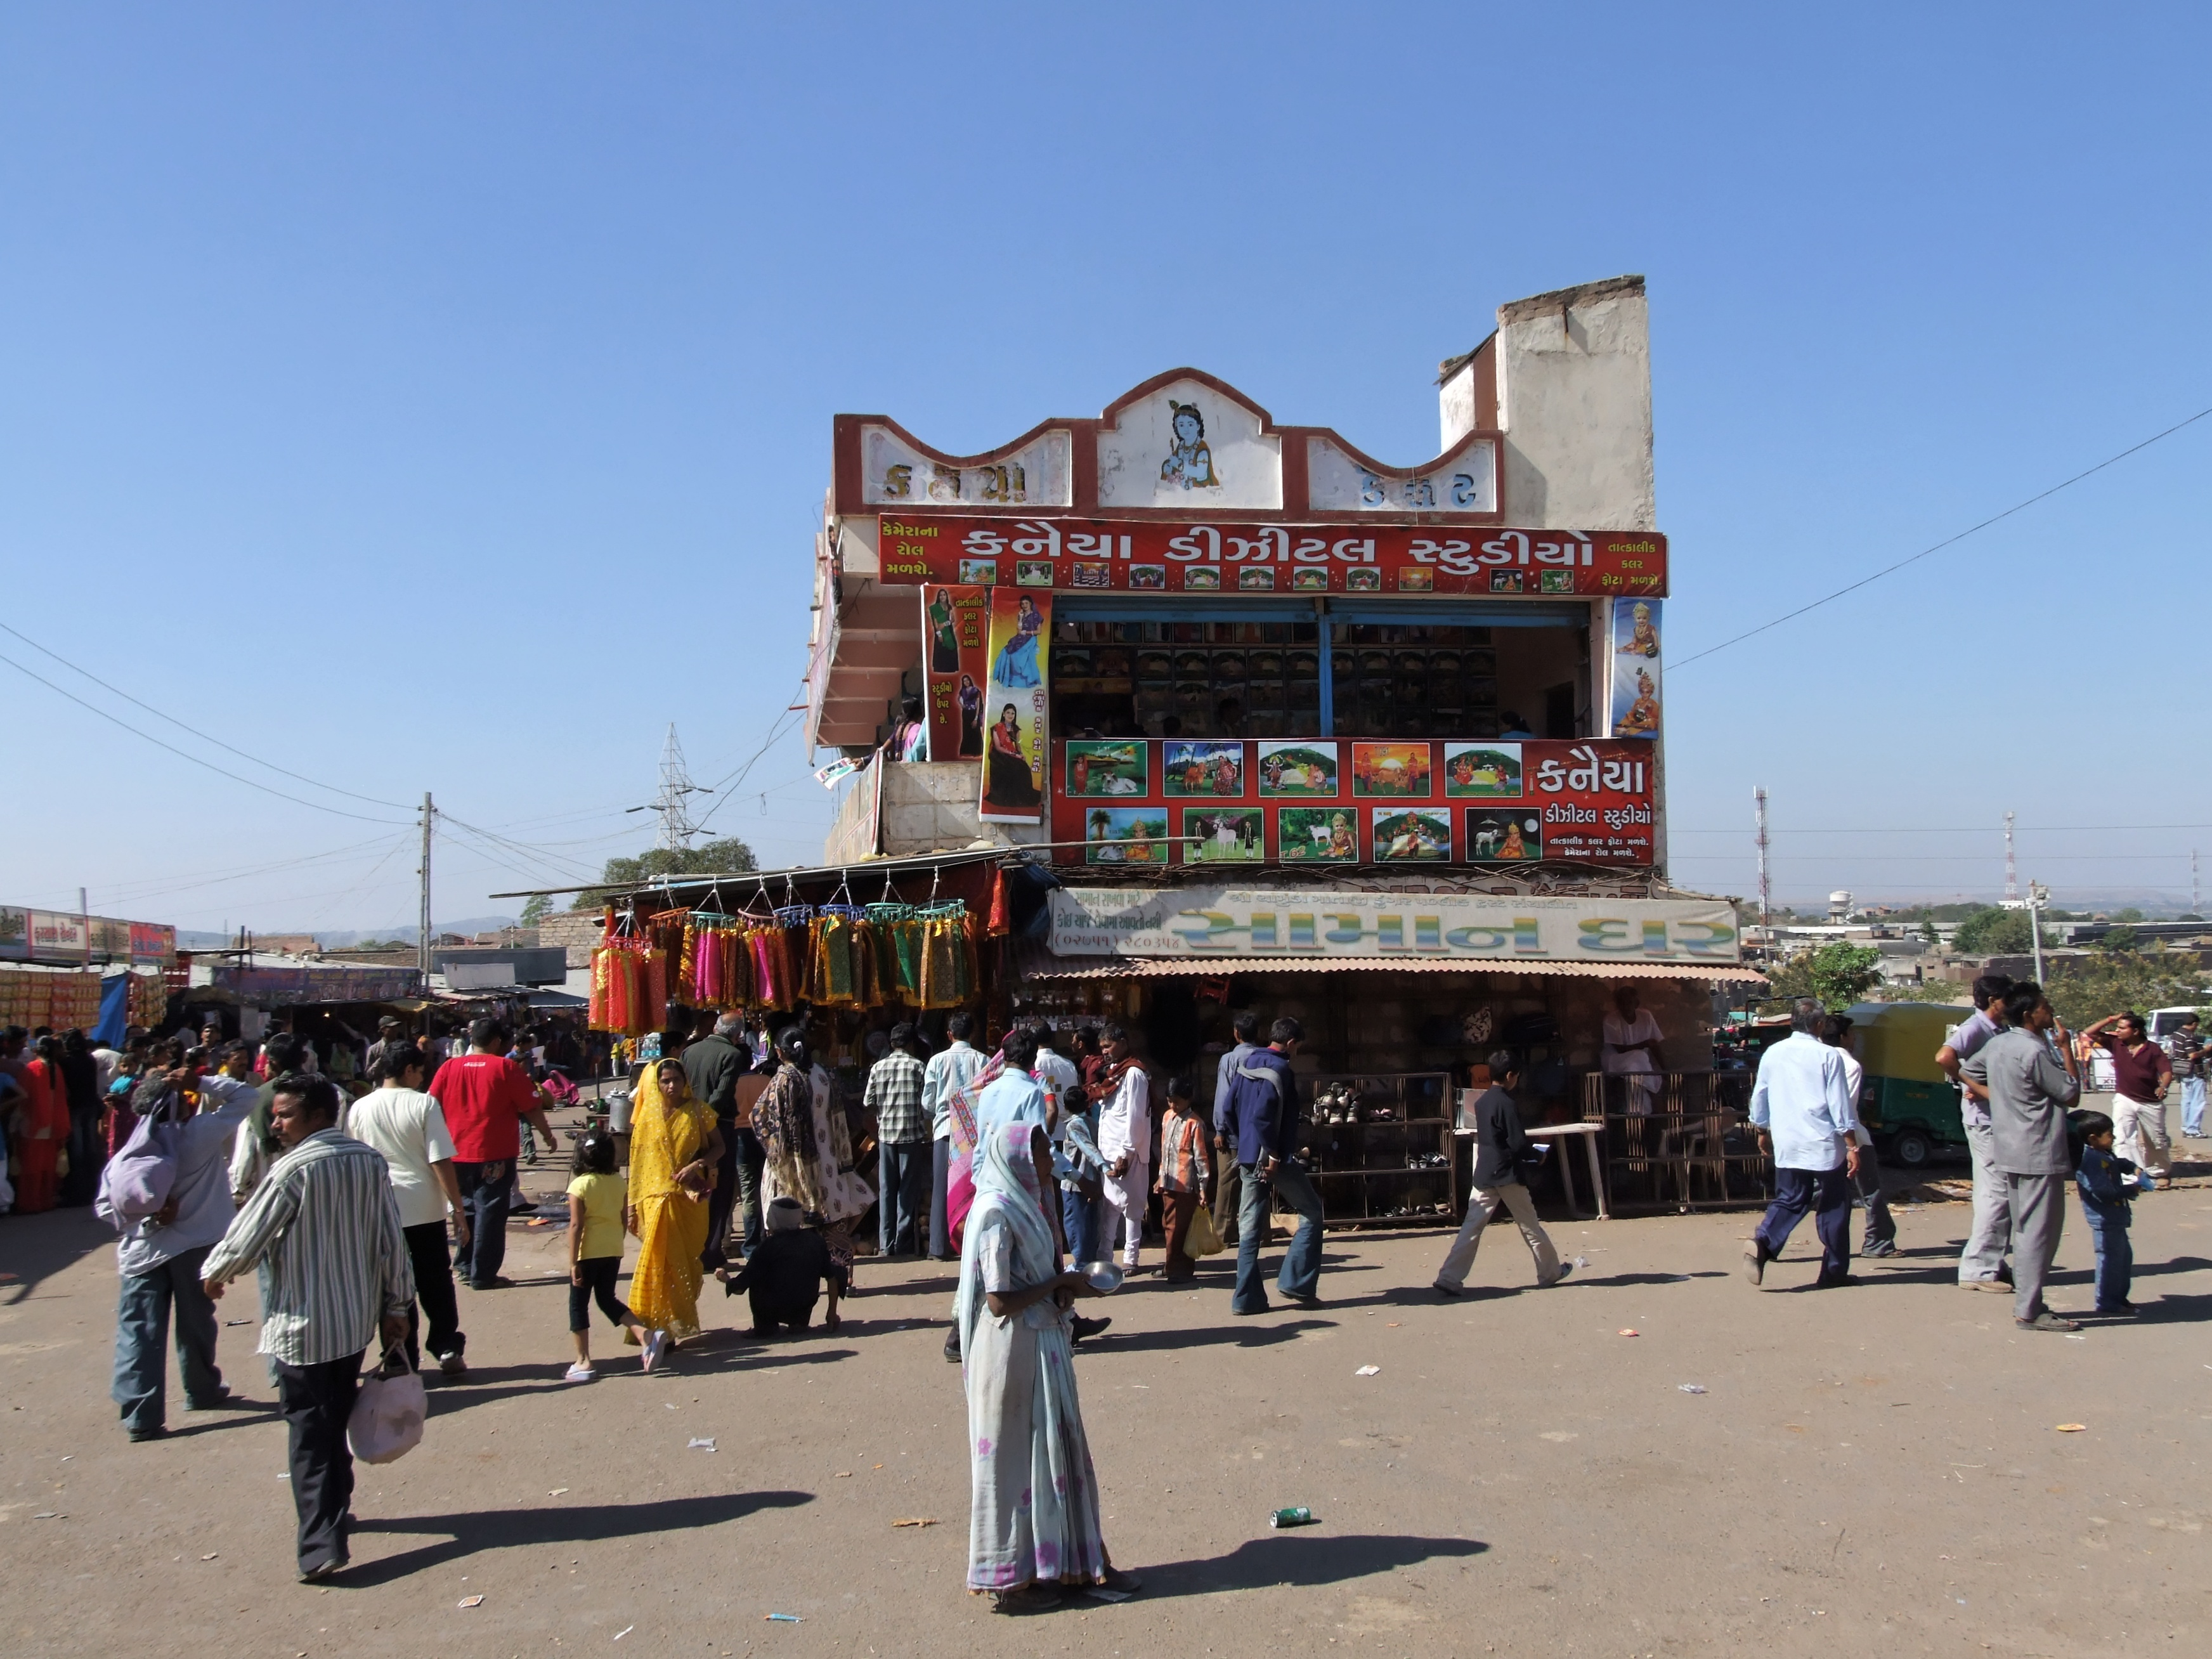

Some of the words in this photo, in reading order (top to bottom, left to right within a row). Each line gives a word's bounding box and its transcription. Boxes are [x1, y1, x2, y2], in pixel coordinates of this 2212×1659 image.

[878, 459, 920, 505] ક
[973, 457, 1035, 507] યા
[1353, 460, 1391, 511] ક
[1443, 464, 1481, 512] ટ
[871, 516, 944, 540] કેમેરાના
[880, 557, 937, 577] મળશે.
[887, 537, 932, 559] રોલ
[955, 517, 1143, 562] કનૈયા
[1157, 516, 1381, 567] ડીઝીટલ
[1404, 529, 1596, 578] સ્ટુડીયો
[1597, 569, 1626, 587] ફોટ1
[1604, 537, 1658, 555] તાત્કાલીક
[1617, 556, 1646, 571] કલર
[1628, 571, 1660, 589] મળશે
[1530, 742, 1649, 799] કનૈયા
[1540, 798, 1602, 829] ડીઝીટલ
[1599, 800, 1653, 833] સ્ટુડીયો
[1167, 907, 1550, 956] સામાન
[1559, 911, 1736, 964] ઘર